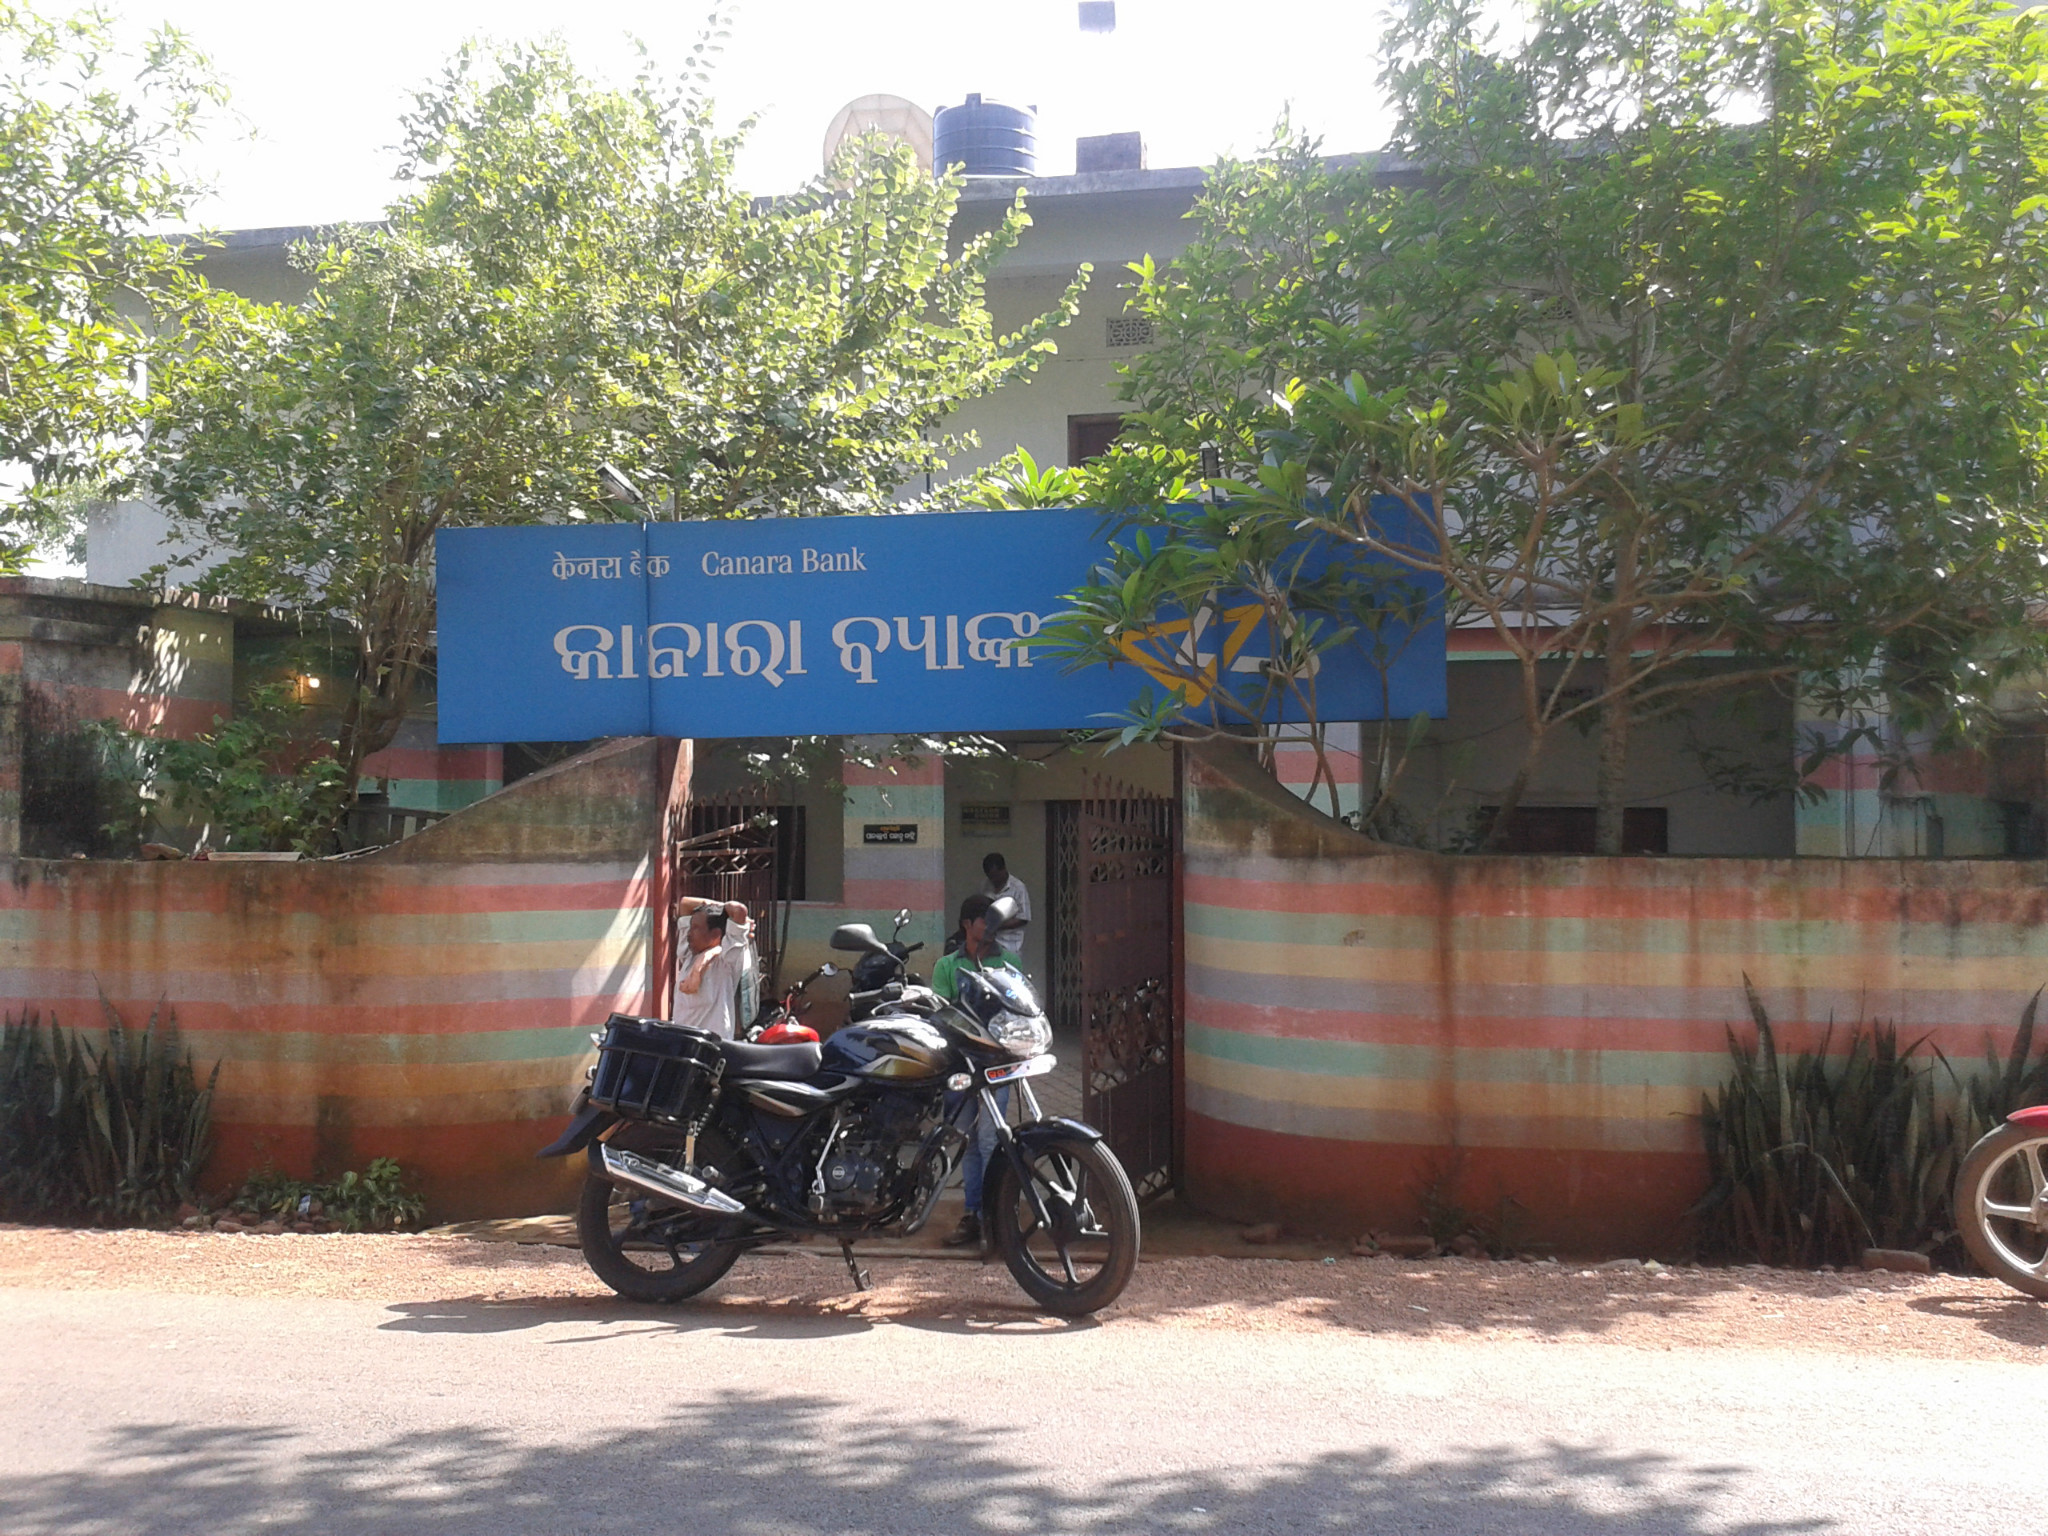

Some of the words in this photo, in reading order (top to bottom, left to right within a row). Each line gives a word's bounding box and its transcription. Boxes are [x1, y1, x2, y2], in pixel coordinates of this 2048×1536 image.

[541, 546, 625, 583] केनरा
[622, 541, 674, 583] बैंक
[696, 549, 793, 584] Canara
[796, 540, 871, 576] Bank
[549, 611, 812, 691] କାଜାରା
[827, 605, 1047, 691] ବ୍ୟାଙ୍କ